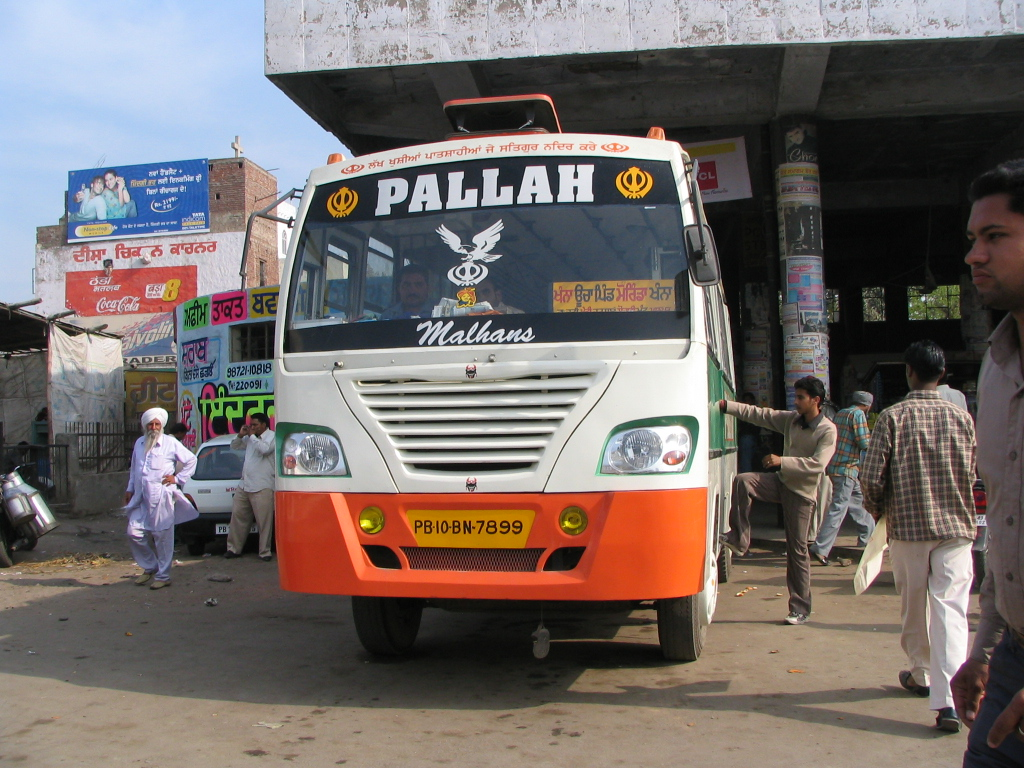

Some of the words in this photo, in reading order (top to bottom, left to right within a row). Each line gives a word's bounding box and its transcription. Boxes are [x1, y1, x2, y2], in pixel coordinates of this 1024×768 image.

[365, 155, 385, 171] ਲੱਖ
[385, 147, 425, 169] ਖਸ਼ੀਆ
[423, 142, 483, 163] ਪਾਤਸ਼ਾਹੀਆਂ
[483, 138, 497, 157] ਜੇ
[497, 139, 541, 155] ਸਤਿਗੁਰ
[539, 137, 576, 155] ਨਦਿਰ
[575, 134, 600, 156] ਕਰੇ
[697, 166, 719, 183] CL
[367, 155, 601, 223] PALLAH
[67, 243, 109, 267] ਦੀਸ਼ਾ
[110, 239, 166, 260] ਚਿਕਨ
[165, 236, 220, 259] ਕਾਰਨਰ
[86, 274, 116, 287] ठंडा
[87, 283, 126, 295] मतलब
[93, 292, 146, 315] CocaCola
[180, 295, 213, 334] ਅਫੀਮ
[209, 291, 247, 326] ਤਾਕਤ
[249, 287, 281, 318] ਬਵ
[552, 284, 574, 305] ਖੰਨਾ
[573, 281, 593, 307] ਊਚਾ
[591, 281, 615, 305] ਪਿੰਡ
[614, 279, 649, 303] ਮੋਰਿੰਡ
[647, 279, 675, 303] ਖੰਨਾ
[407, 316, 540, 345] Malhans
[123, 355, 177, 364] RADER
[179, 334, 209, 367] ਸ਼ਰਾਬ
[222, 361, 273, 380] 98721-10818
[129, 372, 181, 407] ਰੀਟ
[233, 378, 265, 394] 220091
[411, 513, 529, 539] PB-10-BN-7899